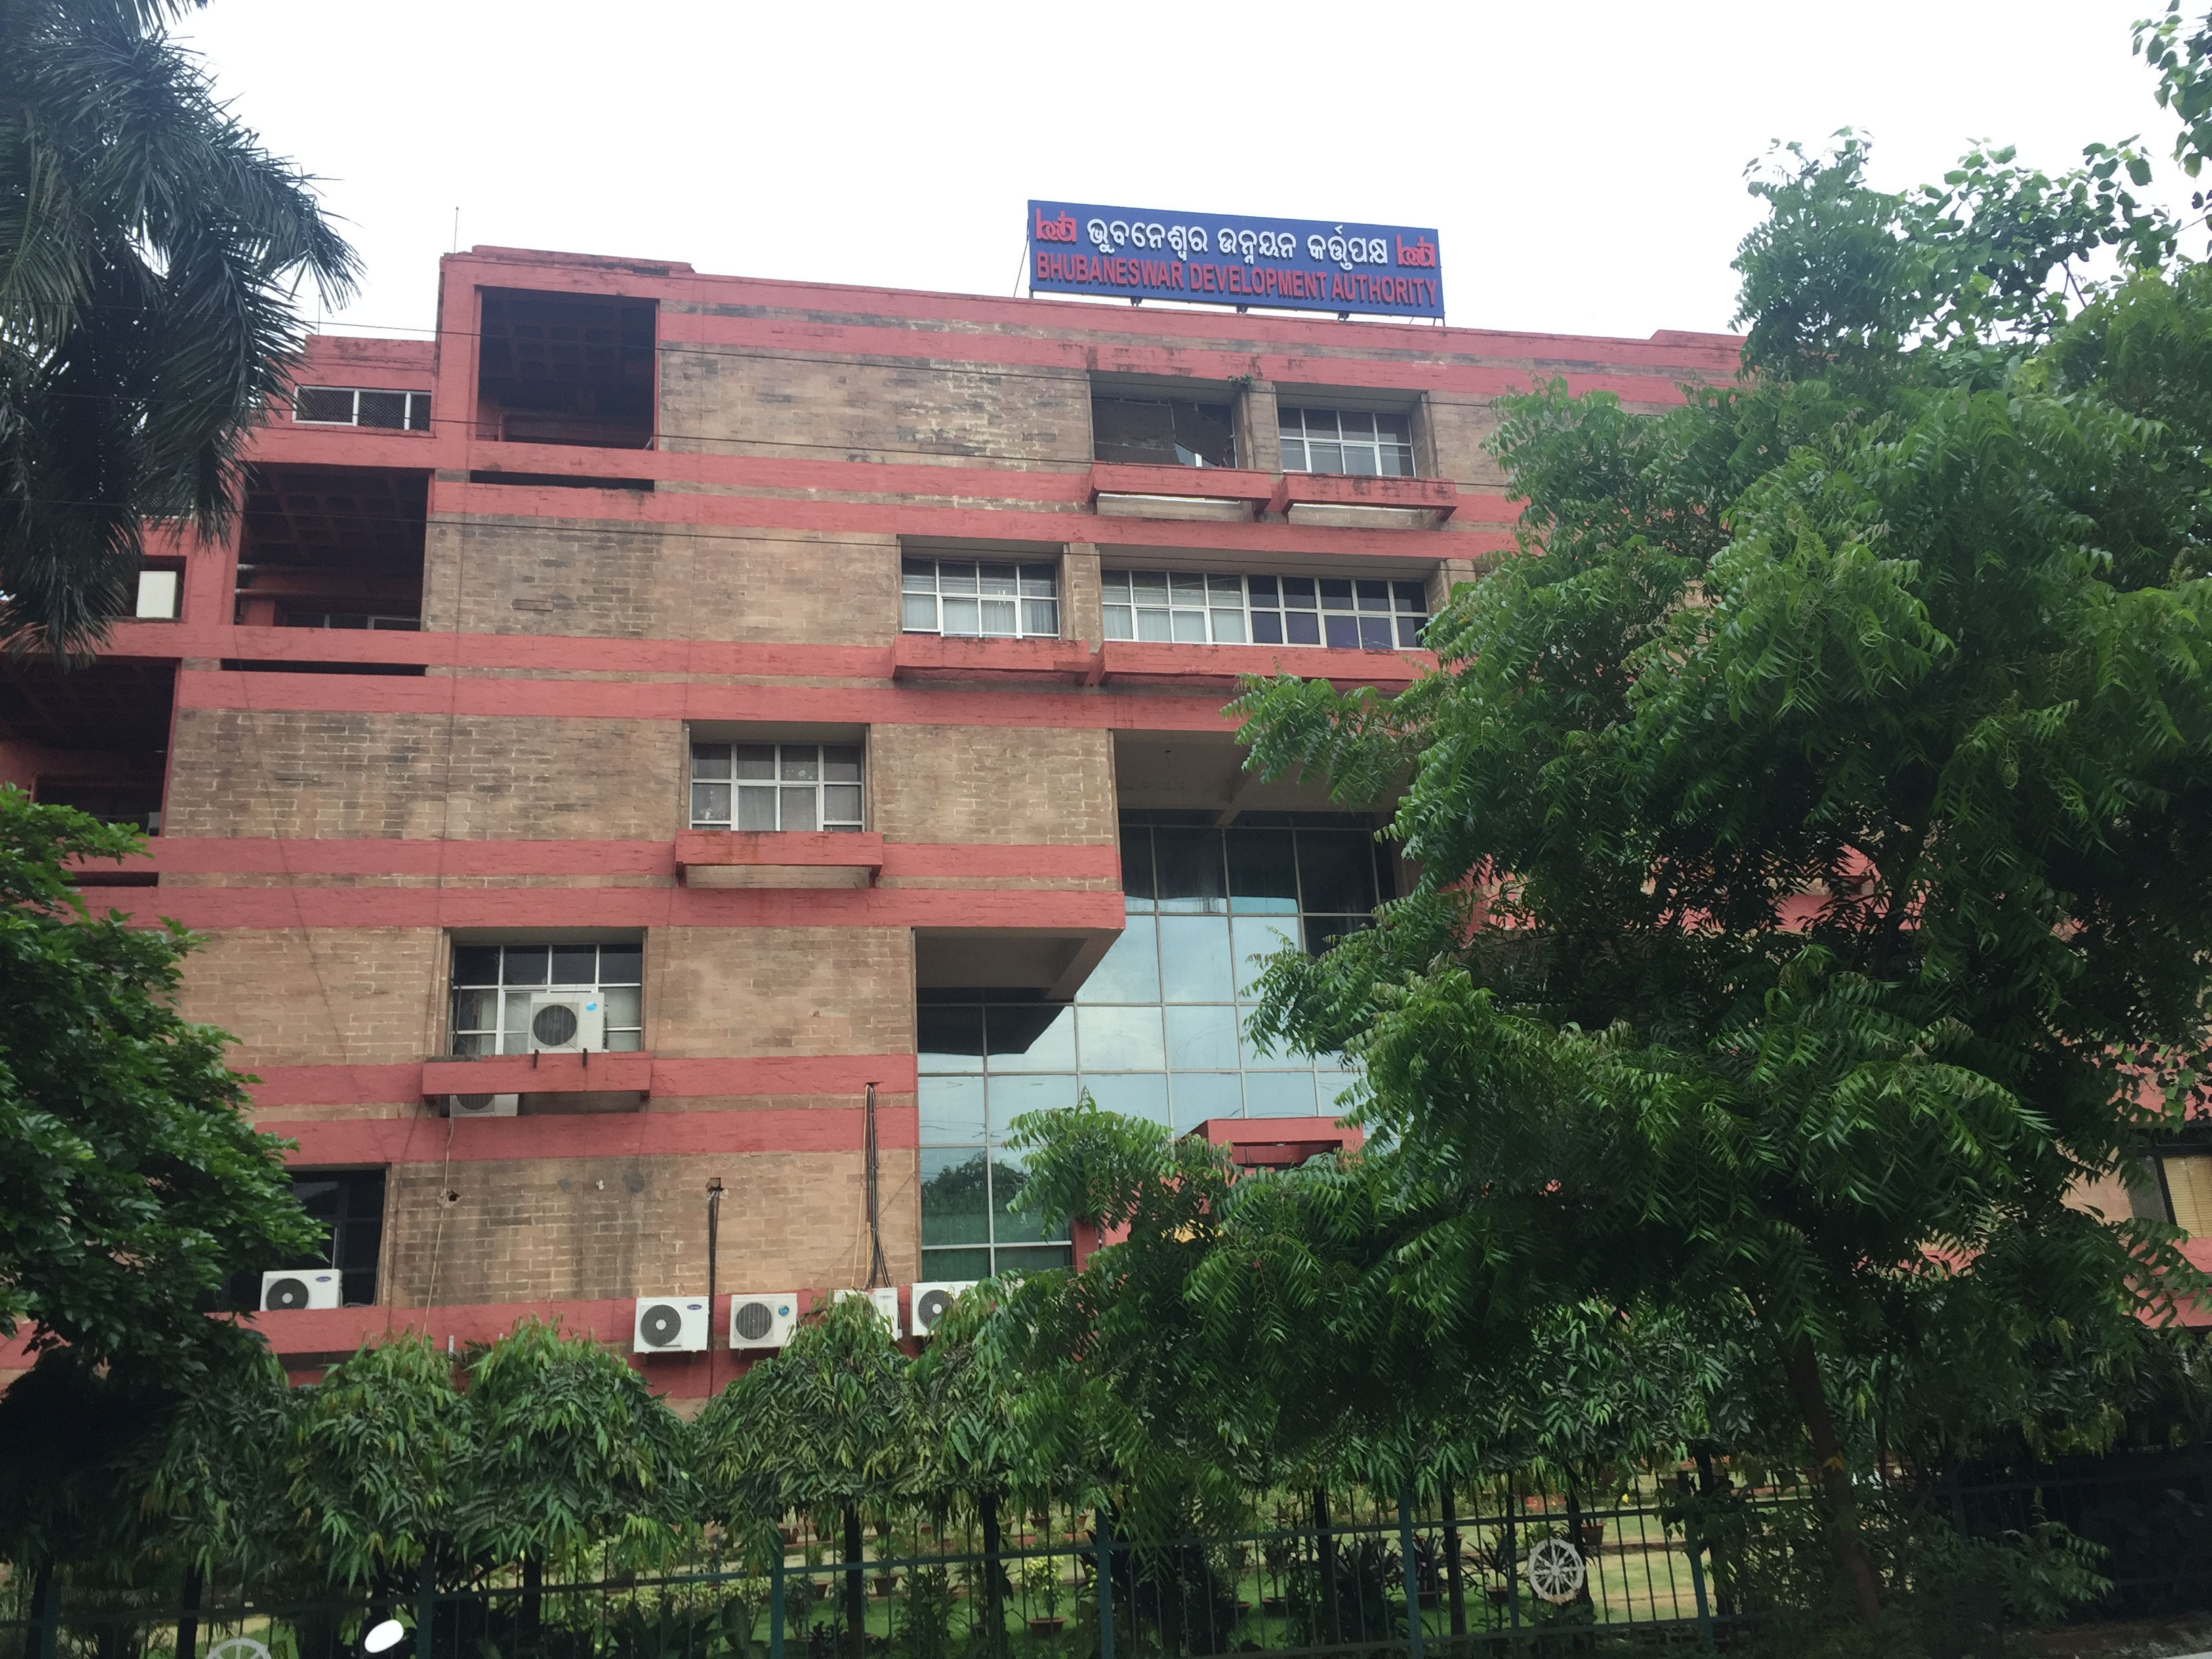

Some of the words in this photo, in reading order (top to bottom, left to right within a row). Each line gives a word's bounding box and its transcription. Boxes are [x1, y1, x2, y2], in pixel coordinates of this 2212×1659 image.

[1033, 248, 1186, 291] BHUBANESWAR
[1085, 216, 1210, 262] ଭୁବନେଶ୍ବର
[1212, 225, 1301, 266] ଉନ୍ନୟନ
[1185, 260, 1329, 302] DEVELOPMENT
[1305, 222, 1390, 276] କର୍ତ୍ତୃପକ୍ଷ
[1327, 271, 1441, 308] AUTHORITY